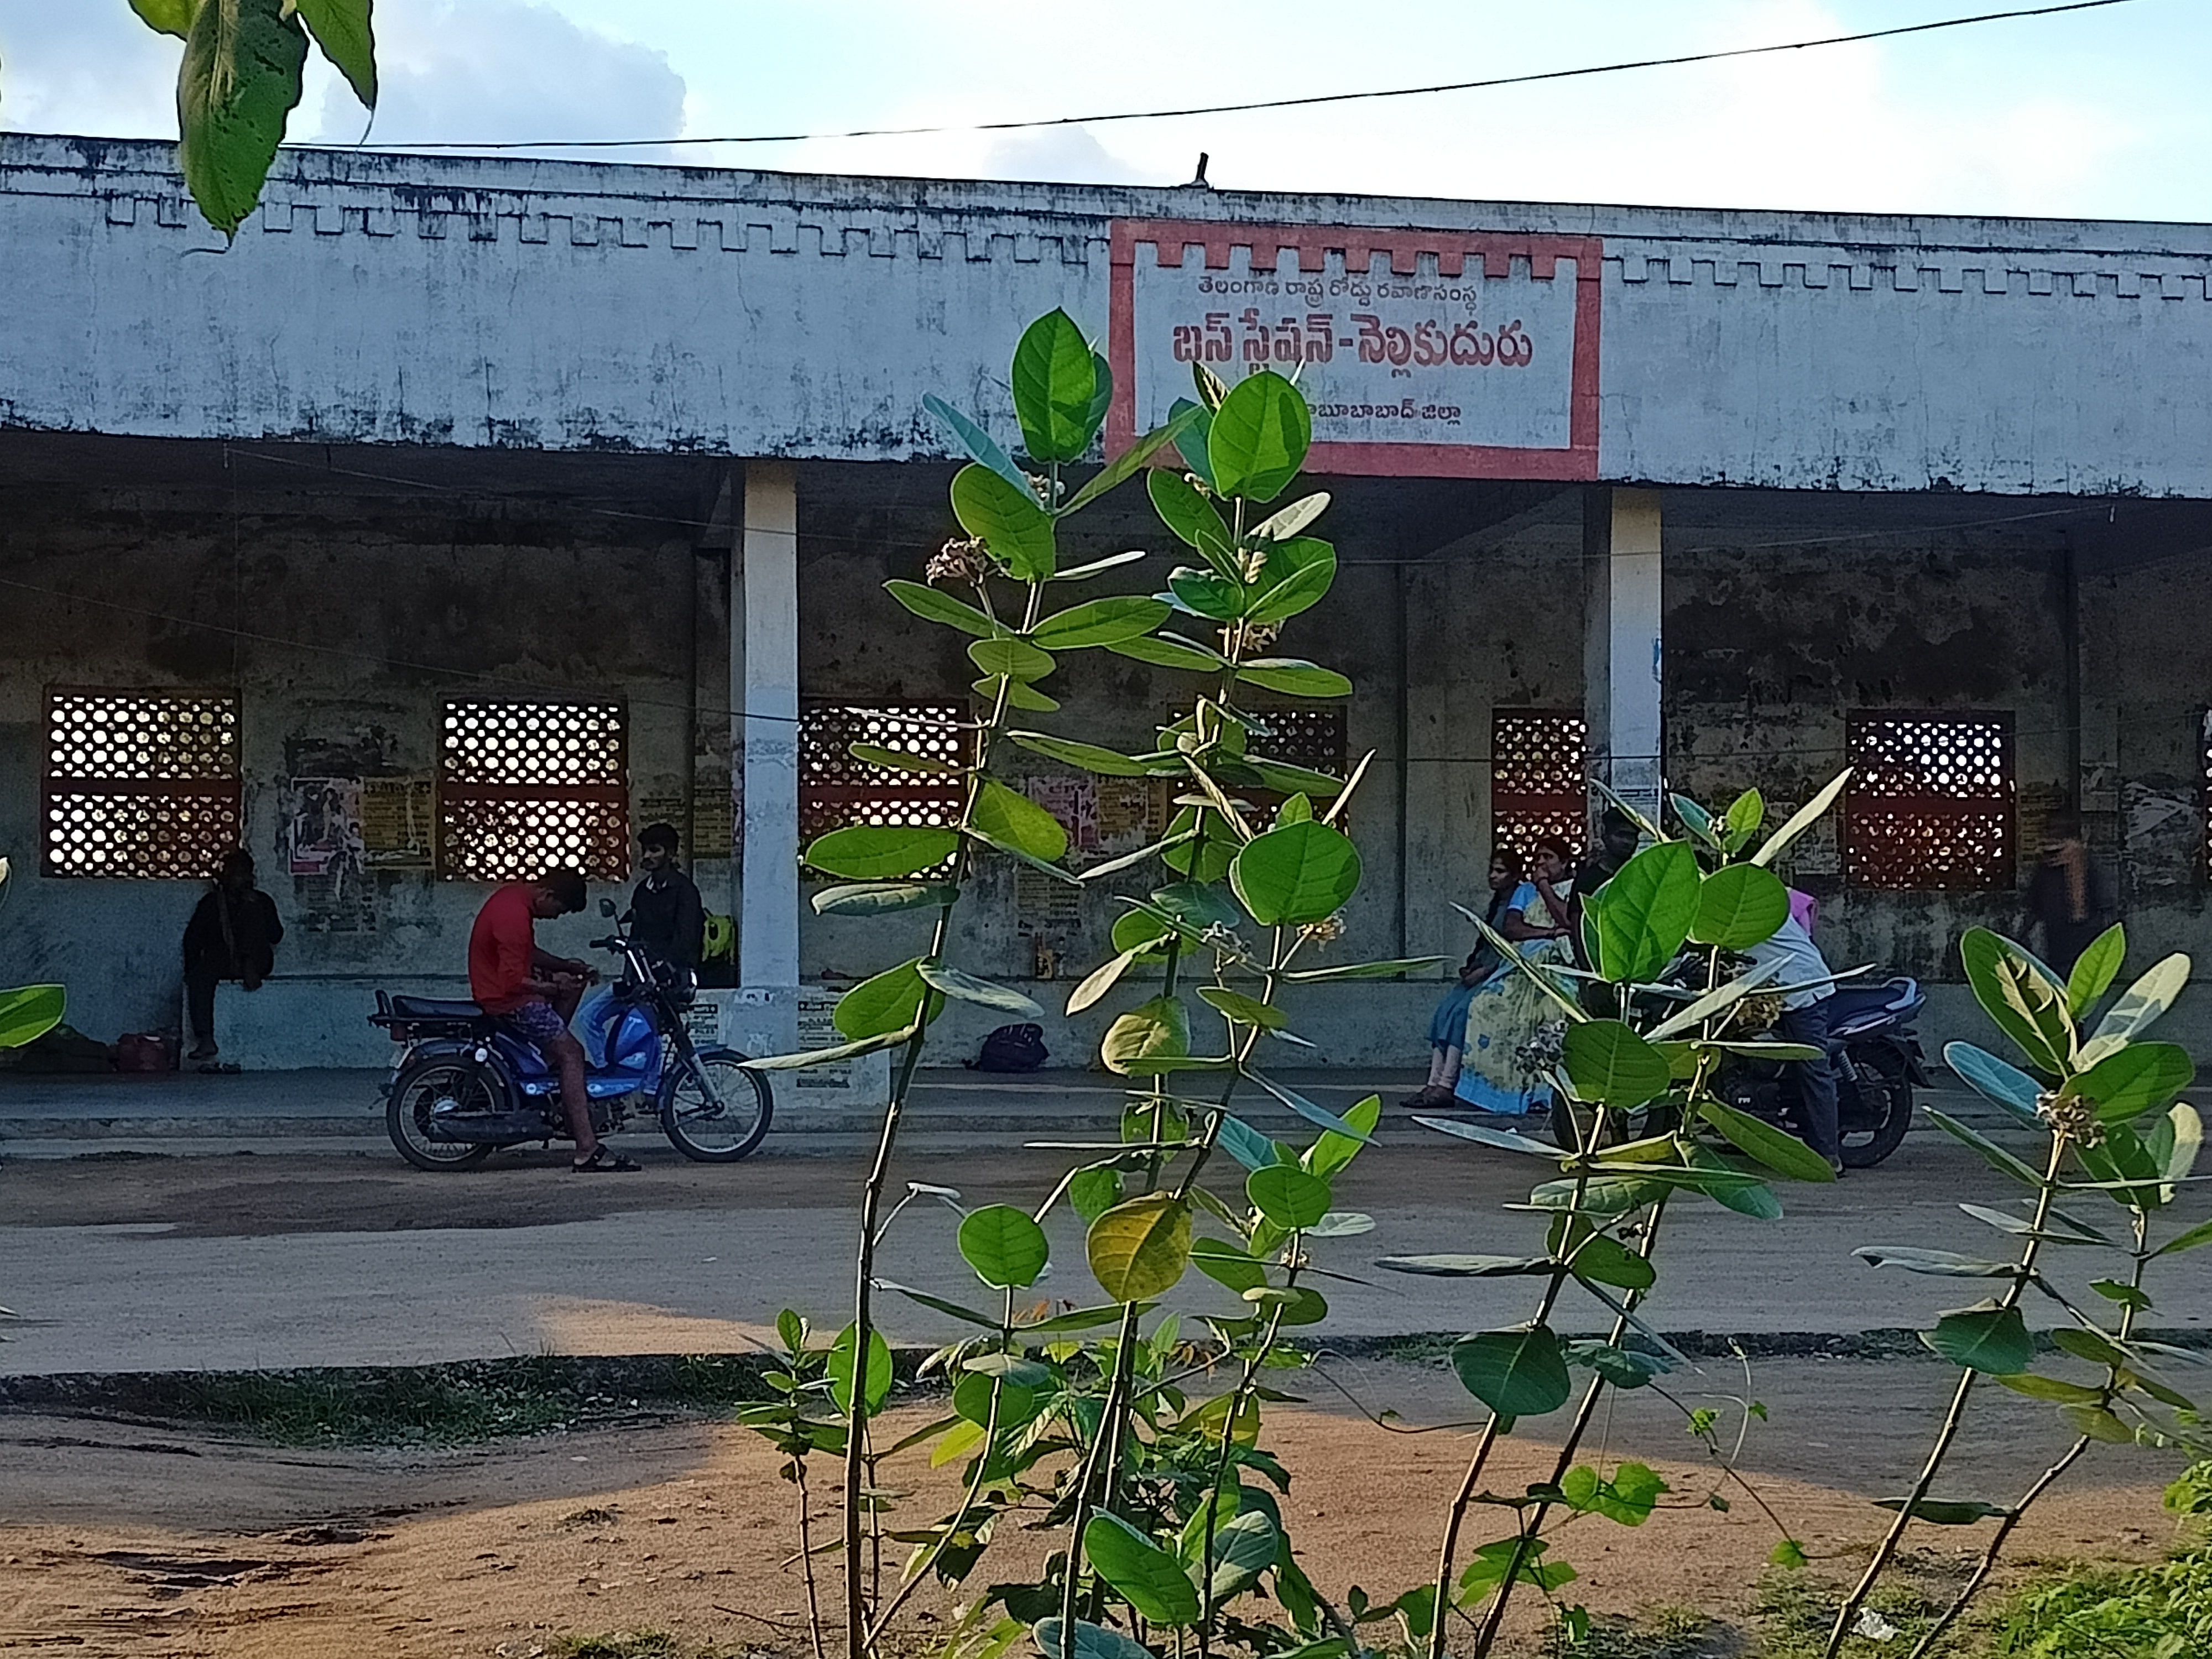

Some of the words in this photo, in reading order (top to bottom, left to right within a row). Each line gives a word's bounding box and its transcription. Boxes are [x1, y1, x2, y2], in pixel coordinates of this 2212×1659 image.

[1197, 271, 1281, 296] తెలంగాణ
[1284, 272, 1327, 310] రాష్ట్ర
[1325, 272, 1374, 308] రోడ్డు
[1374, 280, 1479, 316] రవాణాసంస్థ
[1171, 305, 1336, 376] బస్ స్టేషన్
[1352, 309, 1535, 379] నెల్లికుదురు
[1305, 394, 1418, 423] బూబాబాద్
[1421, 401, 1464, 429] ಜಿಲ್ಲಾ